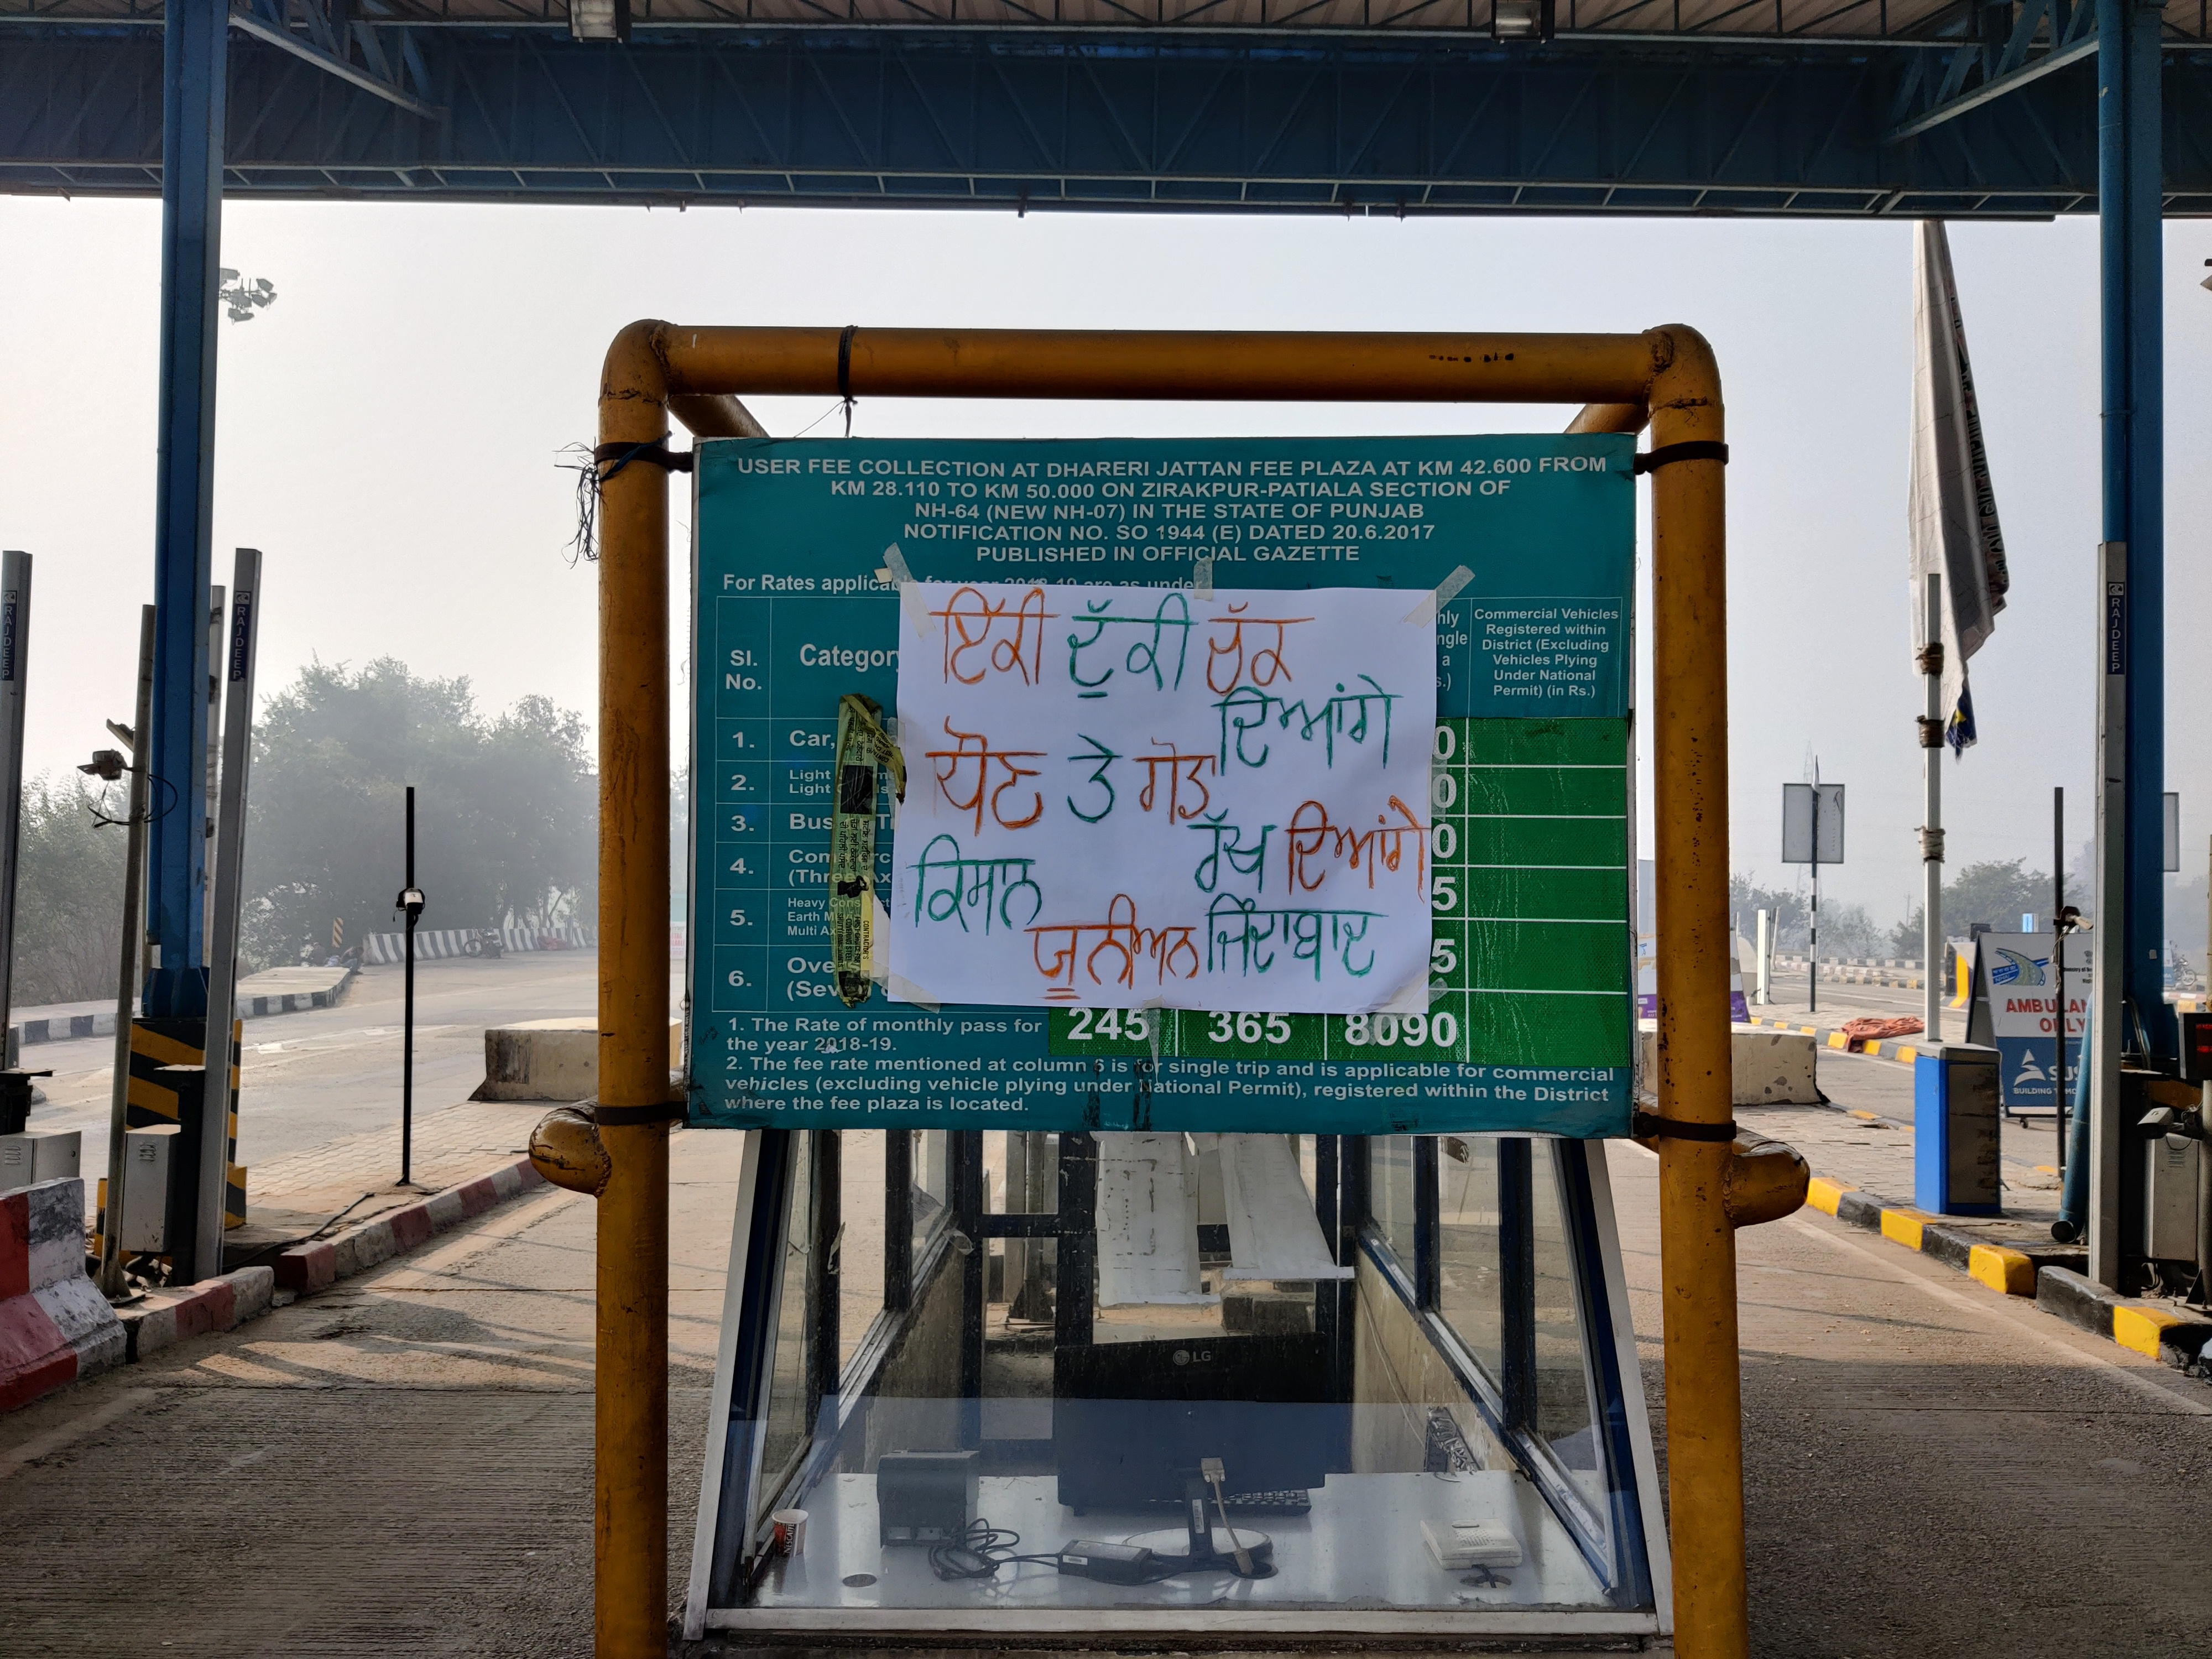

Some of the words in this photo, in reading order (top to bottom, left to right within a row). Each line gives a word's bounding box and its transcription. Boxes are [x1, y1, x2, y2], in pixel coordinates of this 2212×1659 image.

[731, 455, 804, 477] USER
[803, 453, 856, 477] FEE
[855, 457, 1010, 479] COLLECTION
[1006, 455, 1041, 482] AT
[1044, 459, 1151, 479] DHARERI
[1151, 455, 1245, 479] JATTAN
[1243, 457, 1296, 479] FEE
[1296, 457, 1380, 479] PLAZA
[1379, 457, 1416, 479] AT
[1415, 458, 1458, 478] KM
[1456, 456, 1537, 476] 42.600
[1536, 455, 1609, 474] FROM
[828, 475, 870, 501] KM
[868, 477, 942, 499] 28.110
[944, 478, 980, 502] TO
[980, 478, 1024, 502] KM
[1021, 478, 1100, 502] 50.000
[1098, 478, 1137, 500] ON
[1138, 478, 1368, 502] ZIRAKPUR-PATIALA
[1368, 479, 1478, 499] SECTION
[1477, 478, 1512, 499] OF
[907, 499, 983, 520] NH-64
[991, 501, 1050, 523] NEW
[1049, 500, 1123, 524] NH-07
[1130, 500, 1157, 522] IN
[1157, 499, 1210, 521] THE
[1210, 502, 1290, 521] STATE
[1288, 499, 1327, 522] OF
[1327, 501, 1425, 521] PUNJAB
[897, 522, 1067, 543] NOTIFICATION
[1066, 523, 1111, 544] NO.
[1113, 521, 1155, 543] SO
[1152, 522, 1207, 543] 1944
[1217, 522, 1239, 543] E
[1245, 521, 1329, 546] DATED
[1329, 521, 1437, 542] 20.6.2017
[972, 544, 1109, 565] PUBLISHED
[1110, 544, 1139, 566] IN
[1140, 543, 1250, 569] OFFICIAL
[1251, 543, 1363, 562] GAZETTE
[718, 571, 758, 595] For
[759, 571, 818, 594] Rates
[818, 570, 891, 599] applica
[1, 604, 18, 680] RAJDEEP
[229, 604, 249, 682] RAJDEEP
[725, 644, 762, 669] SI.
[795, 636, 900, 679] Category
[927, 584, 1068, 697] ਇੱਕੀ
[1045, 589, 1208, 705] ਦੁੱਕੀ
[1194, 598, 1326, 697] ਚੱਕ
[1440, 652, 1455, 670] a
[1436, 608, 1463, 630] hly
[1434, 629, 1470, 650] ngle
[1477, 637, 1535, 653] District
[1472, 606, 1558, 621] Commercial
[1489, 651, 1553, 668] Vehicles
[1483, 620, 1563, 639] Registered
[1536, 637, 1613, 655] Excluding
[1552, 653, 1599, 670] Plying
[1561, 621, 1609, 637] within
[1557, 605, 1621, 622] Vehicles
[2107, 593, 2124, 674] RAJDEEP
[720, 669, 767, 699] No.
[1491, 666, 1538, 683] Under
[1490, 684, 1542, 699] Permit)
[1548, 682, 1567, 699] in
[1536, 667, 1599, 684] National
[1566, 683, 1593, 700] Rs.
[1202, 663, 1408, 783] ਕਿਆਂਗੇ
[730, 724, 759, 754] 1.
[785, 727, 834, 753] Car
[1432, 720, 1462, 765] O
[727, 769, 759, 798] 2.
[787, 780, 834, 799] Light
[788, 766, 834, 783] Light
[913, 711, 1057, 839] ਧੌਣ
[1056, 725, 1126, 846] ਤੇ
[1124, 729, 1225, 841] ਗੋਡਾ
[1428, 767, 1464, 812] 0
[726, 811, 758, 838] 3.
[786, 809, 832, 833] Bus
[873, 810, 892, 835] T
[725, 851, 758, 878] 4.
[785, 848, 833, 867] Con
[792, 866, 858, 885] Three
[879, 848, 893, 866] C
[879, 867, 894, 885] X
[1176, 803, 1282, 905] ਰੱਖ
[1278, 789, 1431, 909] ਦਿਆਂਗੇ
[1432, 818, 1462, 862] 0
[785, 894, 829, 910] Heavy
[898, 828, 1050, 949] ਕਿਸਾਨ
[1428, 869, 1461, 916] 5
[724, 900, 759, 934] 5.
[784, 909, 823, 924] Earth
[782, 923, 819, 938] Multi
[819, 922, 838, 938] AX
[783, 951, 838, 979] Ove
[1009, 889, 1203, 1004] ਯੂਨੀਅਨ
[1199, 887, 1392, 997] ਜਿੰਦਾਬਾਦ
[1427, 936, 1461, 975] 5
[725, 967, 753, 991] 6.
[794, 979, 827, 999] Se
[2001, 996, 2058, 1018] AMBU
[726, 1012, 748, 1034] 1.
[749, 1013, 791, 1037] The
[790, 1014, 843, 1035] Rate
[842, 1014, 870, 1035] of
[870, 1012, 958, 1039] monthly
[957, 1017, 1011, 1039] pass
[1009, 1014, 1045, 1035] for
[1062, 1008, 1155, 1047] 245
[1204, 1009, 1298, 1045] 365
[1340, 1008, 1464, 1050] 8090
[719, 1032, 762, 1056] the
[760, 1035, 812, 1056] year
[810, 1034, 898, 1056] 2018-19.
[723, 1052, 747, 1073] 2.
[717, 1093, 789, 1114] where
[717, 1073, 813, 1094] vehicles
[745, 1054, 790, 1076] The
[788, 1093, 826, 1115] the
[790, 1053, 825, 1073] fee
[826, 1094, 864, 1115] fee
[827, 1055, 873, 1074] rate
[820, 1074, 924, 1096] excluding
[863, 1093, 924, 1119] plaza
[872, 1056, 986, 1074] mentioned
[923, 1093, 947, 1115] is
[924, 1073, 1004, 1095] vehicle
[946, 1094, 1027, 1116] located
[983, 1053, 1009, 1074] at
[1002, 1074, 1071, 1098] plying
[1008, 1056, 1092, 1077] column
[1090, 1053, 1108, 1074] 6
[1068, 1074, 1134, 1096] under
[1108, 1053, 1130, 1079] is
[1131, 1054, 1166, 1076] for
[1135, 1076, 1225, 1098] ational
[1166, 1056, 1235, 1080] single
[1232, 1057, 1274, 1081] trip
[1224, 1078, 1296, 1098] Permit
[1272, 1057, 1316, 1079] and
[1316, 1059, 1341, 1082] is
[1311, 1079, 1421, 1104] registered
[1342, 1060, 1452, 1083] applicable
[1422, 1081, 1491, 1103] within
[1453, 1061, 1491, 1082] for
[1489, 1082, 1530, 1103] the
[1491, 1064, 1623, 1085] commercial
[1530, 1083, 1618, 1106] District
[2009, 1086, 2054, 1097] BUILDING
[1190, 1348, 1215, 1363] LG